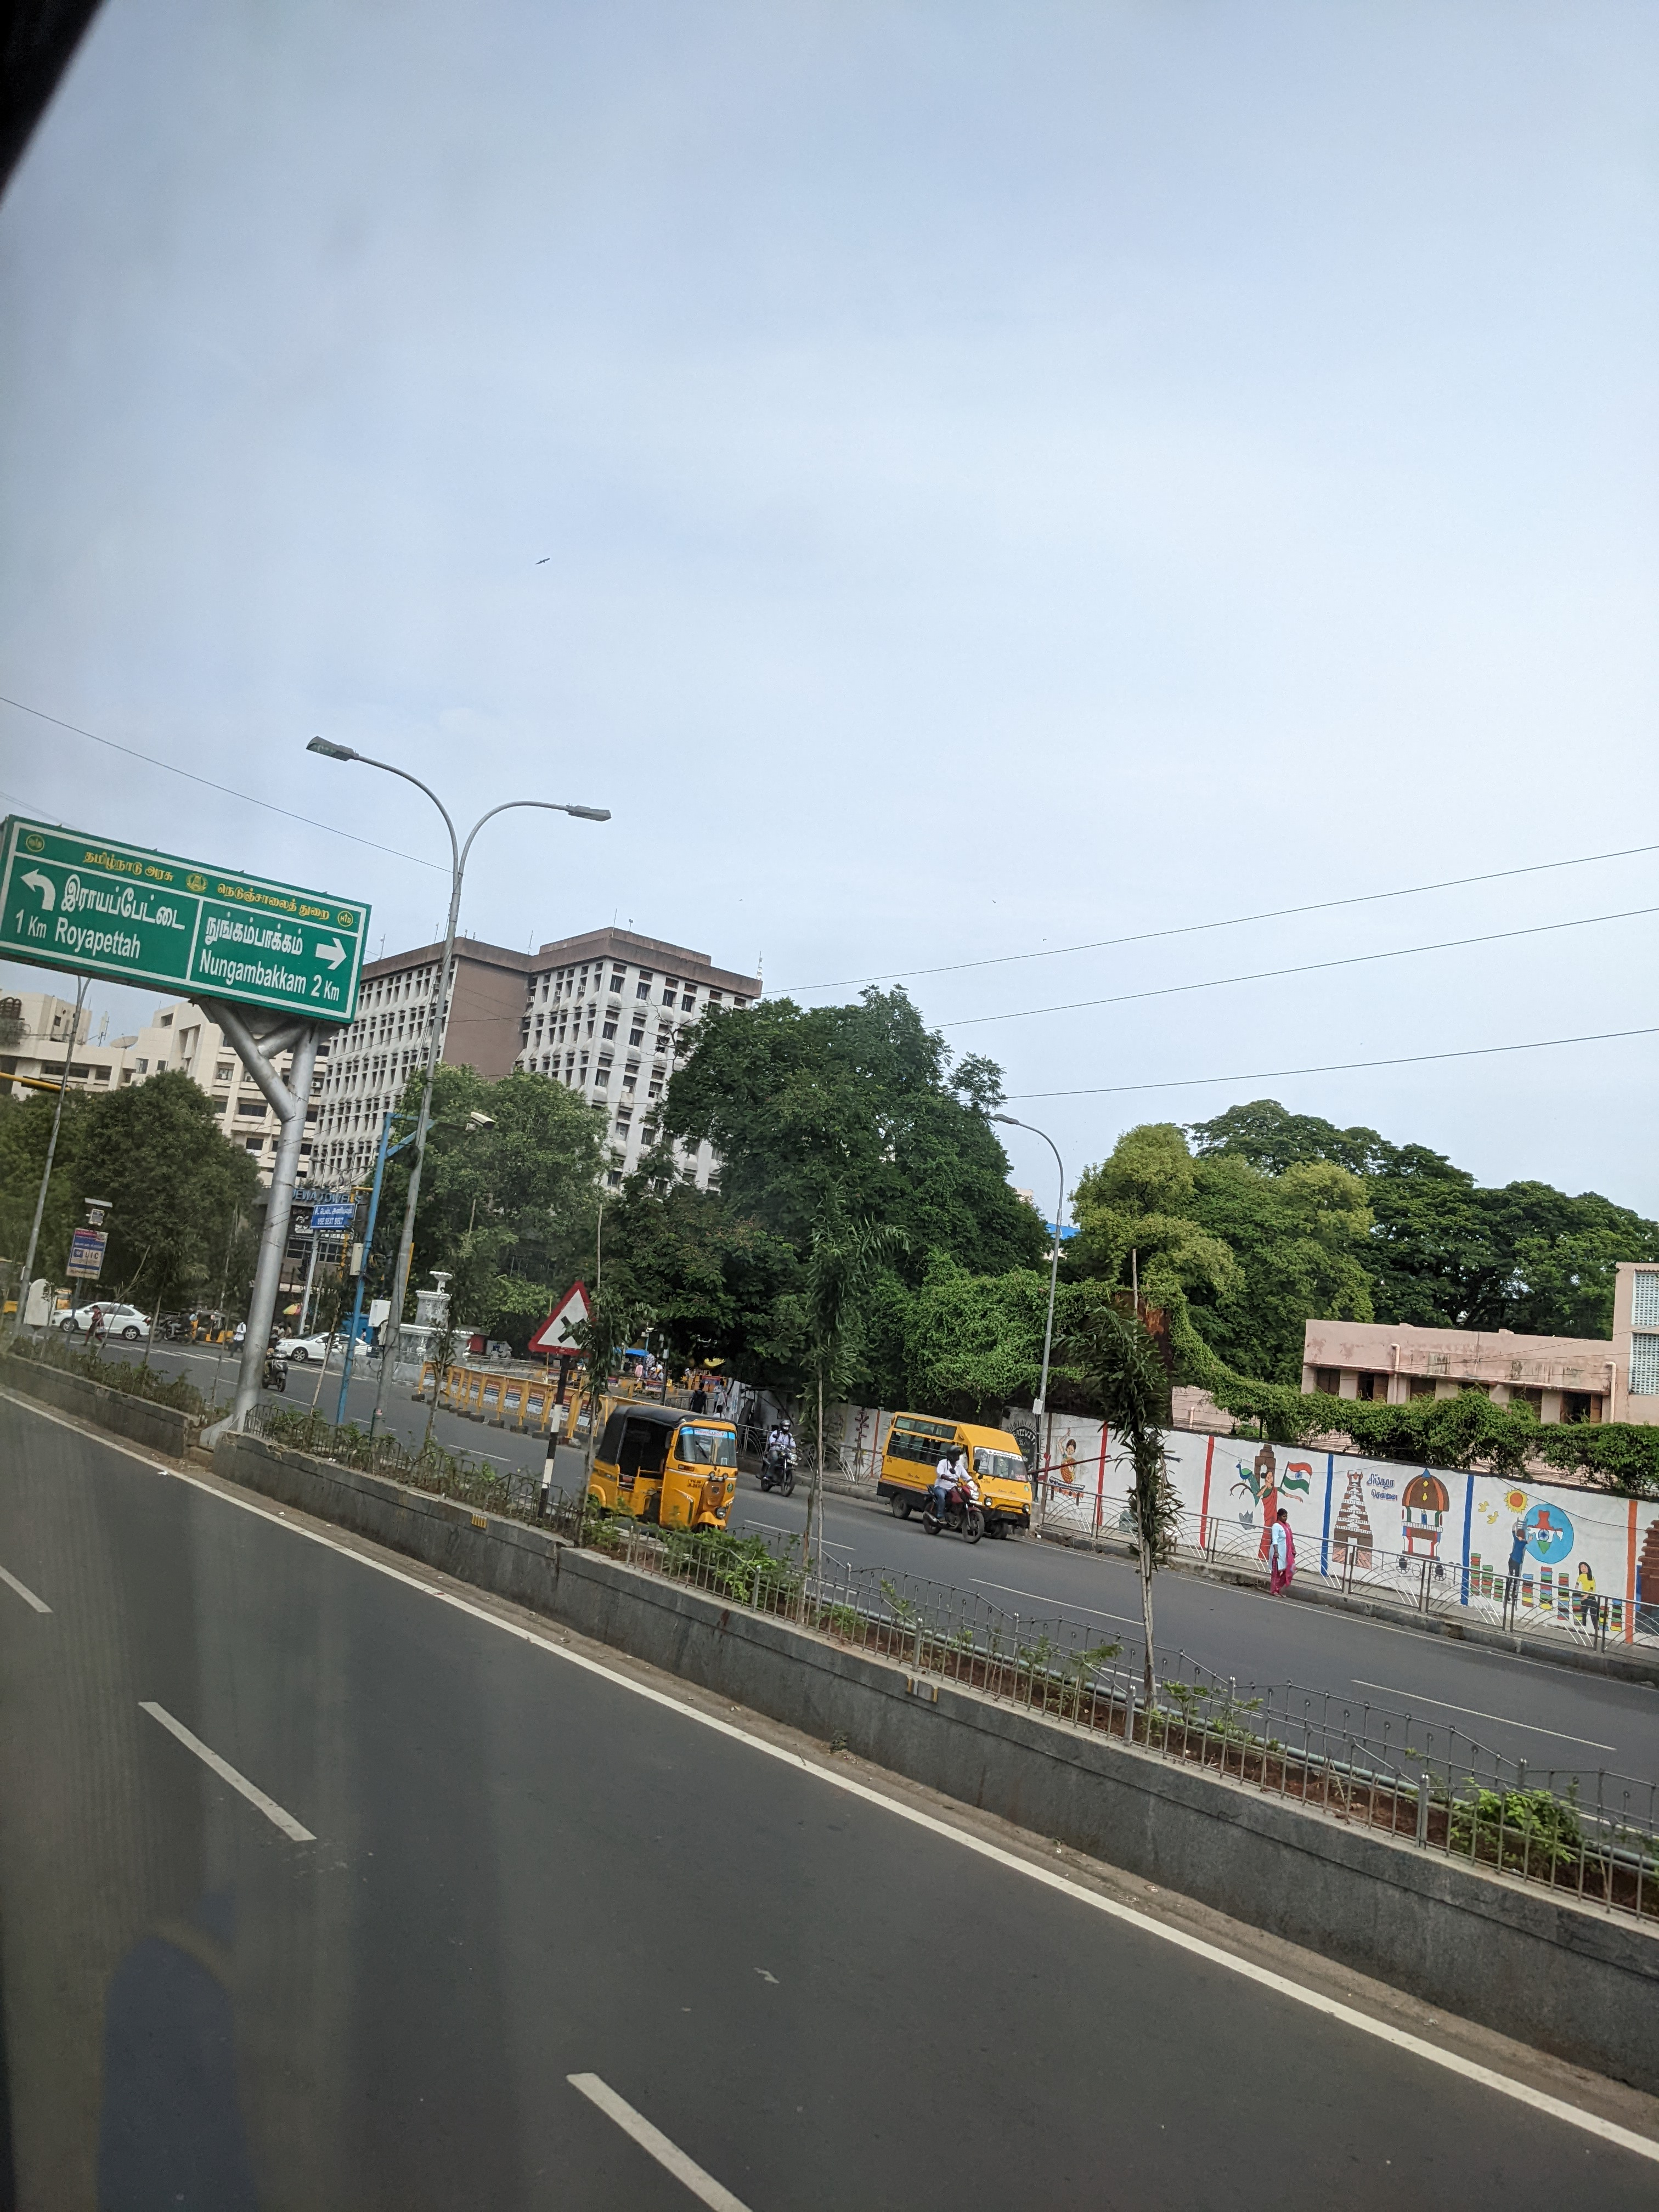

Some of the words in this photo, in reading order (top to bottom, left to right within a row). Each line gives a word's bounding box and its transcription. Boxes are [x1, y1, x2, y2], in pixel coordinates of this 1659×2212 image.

[81, 847, 144, 878] தமிழ்நாடு
[141, 862, 178, 884] அரசு
[14, 907, 49, 941] 1Km
[53, 913, 143, 961] Royapettah
[55, 872, 188, 933] இராயப்பேட்டை
[200, 909, 306, 959] நுங்கம்பாக்கம்
[215, 879, 301, 915] நெடுஞ்சாவலத்
[296, 901, 332, 923] துறை
[197, 947, 308, 997] Nungambakkam
[308, 972, 343, 1004] 2Km
[314, 1216, 328, 1228] use
[323, 1216, 336, 1227] SEAT
[332, 1215, 347, 1227] BELT